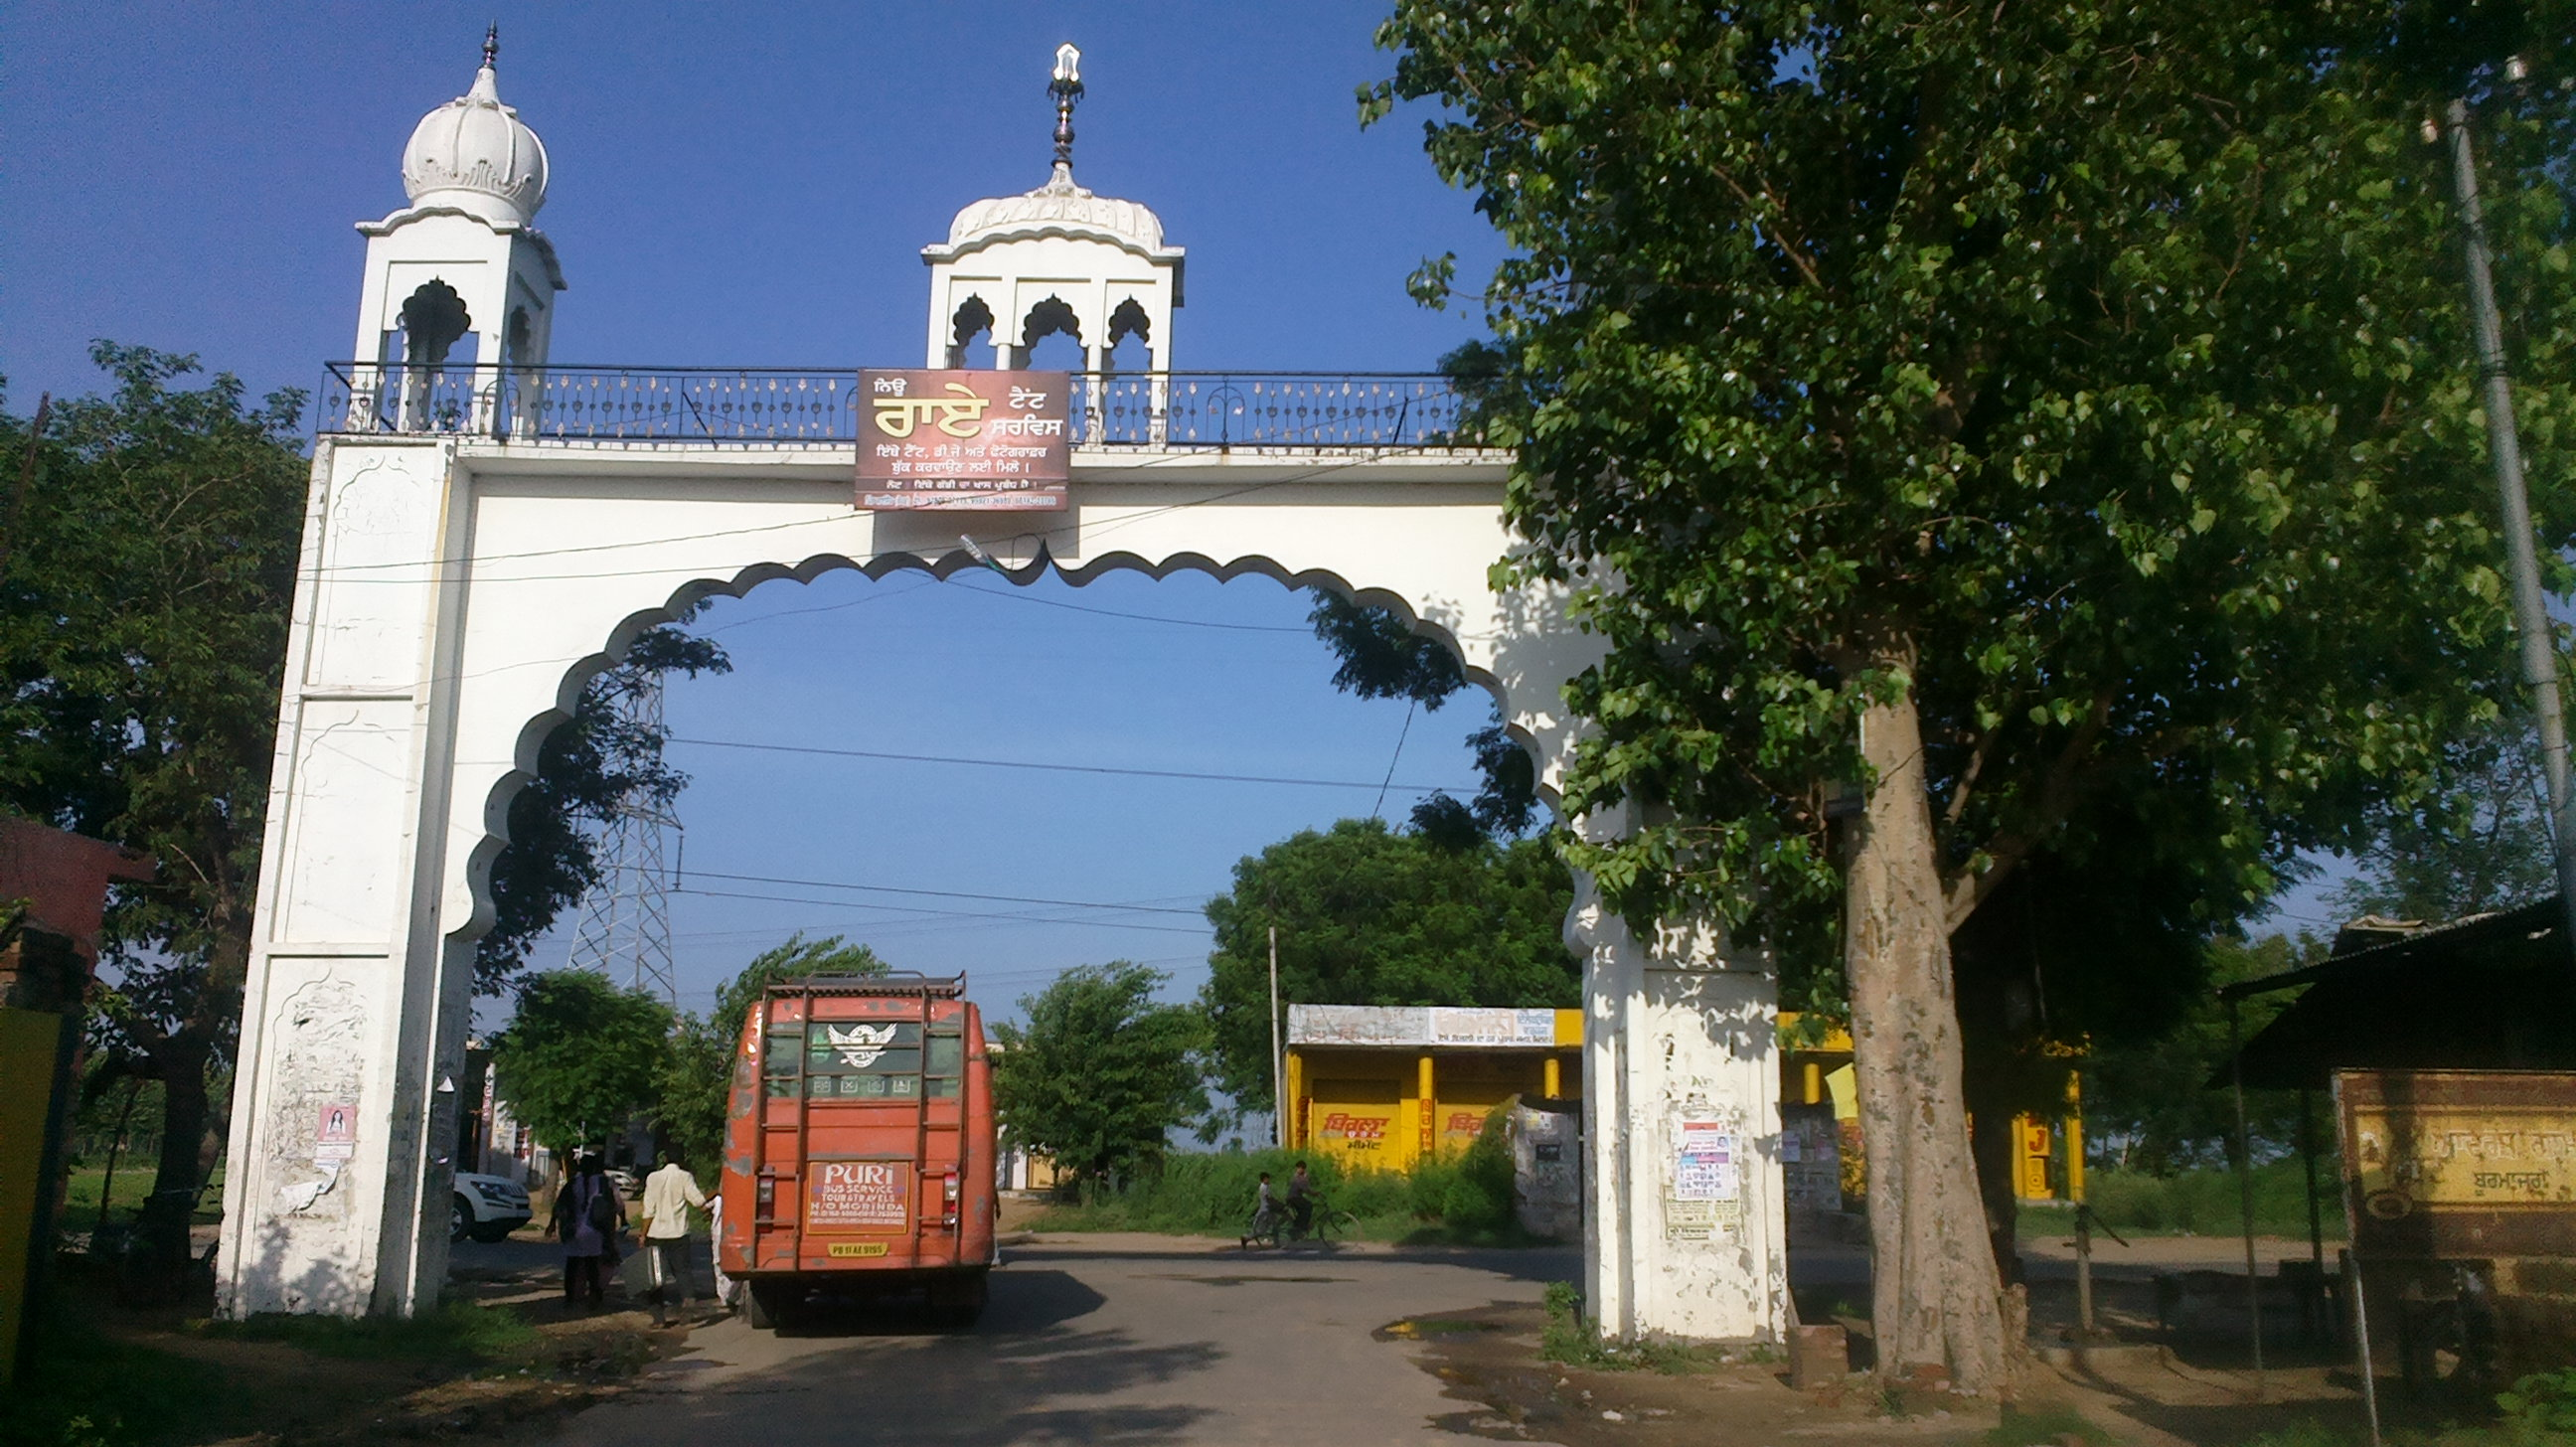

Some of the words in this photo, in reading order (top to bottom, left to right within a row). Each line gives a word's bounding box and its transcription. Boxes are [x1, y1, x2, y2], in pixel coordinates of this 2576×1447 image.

[866, 372, 913, 398] ਨਿਊ
[1003, 381, 1058, 412] ਟੈਂਟ
[868, 377, 997, 442] ਰਾਏ
[987, 411, 1068, 444] ਸਰਵਿਸ
[872, 441, 902, 460] ਇੱਥੇ
[901, 440, 928, 460] टैंट
[929, 440, 950, 458] ਡੀ
[948, 438, 963, 458] ਜੇ
[963, 440, 989, 458] ਅਤੇ
[987, 440, 1053, 458] ਫੋਟੋਗਰਾਫ਼ਰ
[886, 458, 914, 478] ਬੁੱਕ
[913, 459, 967, 478] ਕਰਵਾਉਣ
[967, 458, 995, 479] ਲਈ
[995, 458, 1026, 477] ਮਿਲੇ
[1321, 1110, 1395, 1134] ਬਿਰਲਾ
[1345, 1138, 1386, 1154] ਸੀਮੇਂਟ
[820, 1162, 896, 1186] PURI
[2462, 1164, 2557, 1204] ਬੂਰਮਾਜਗ